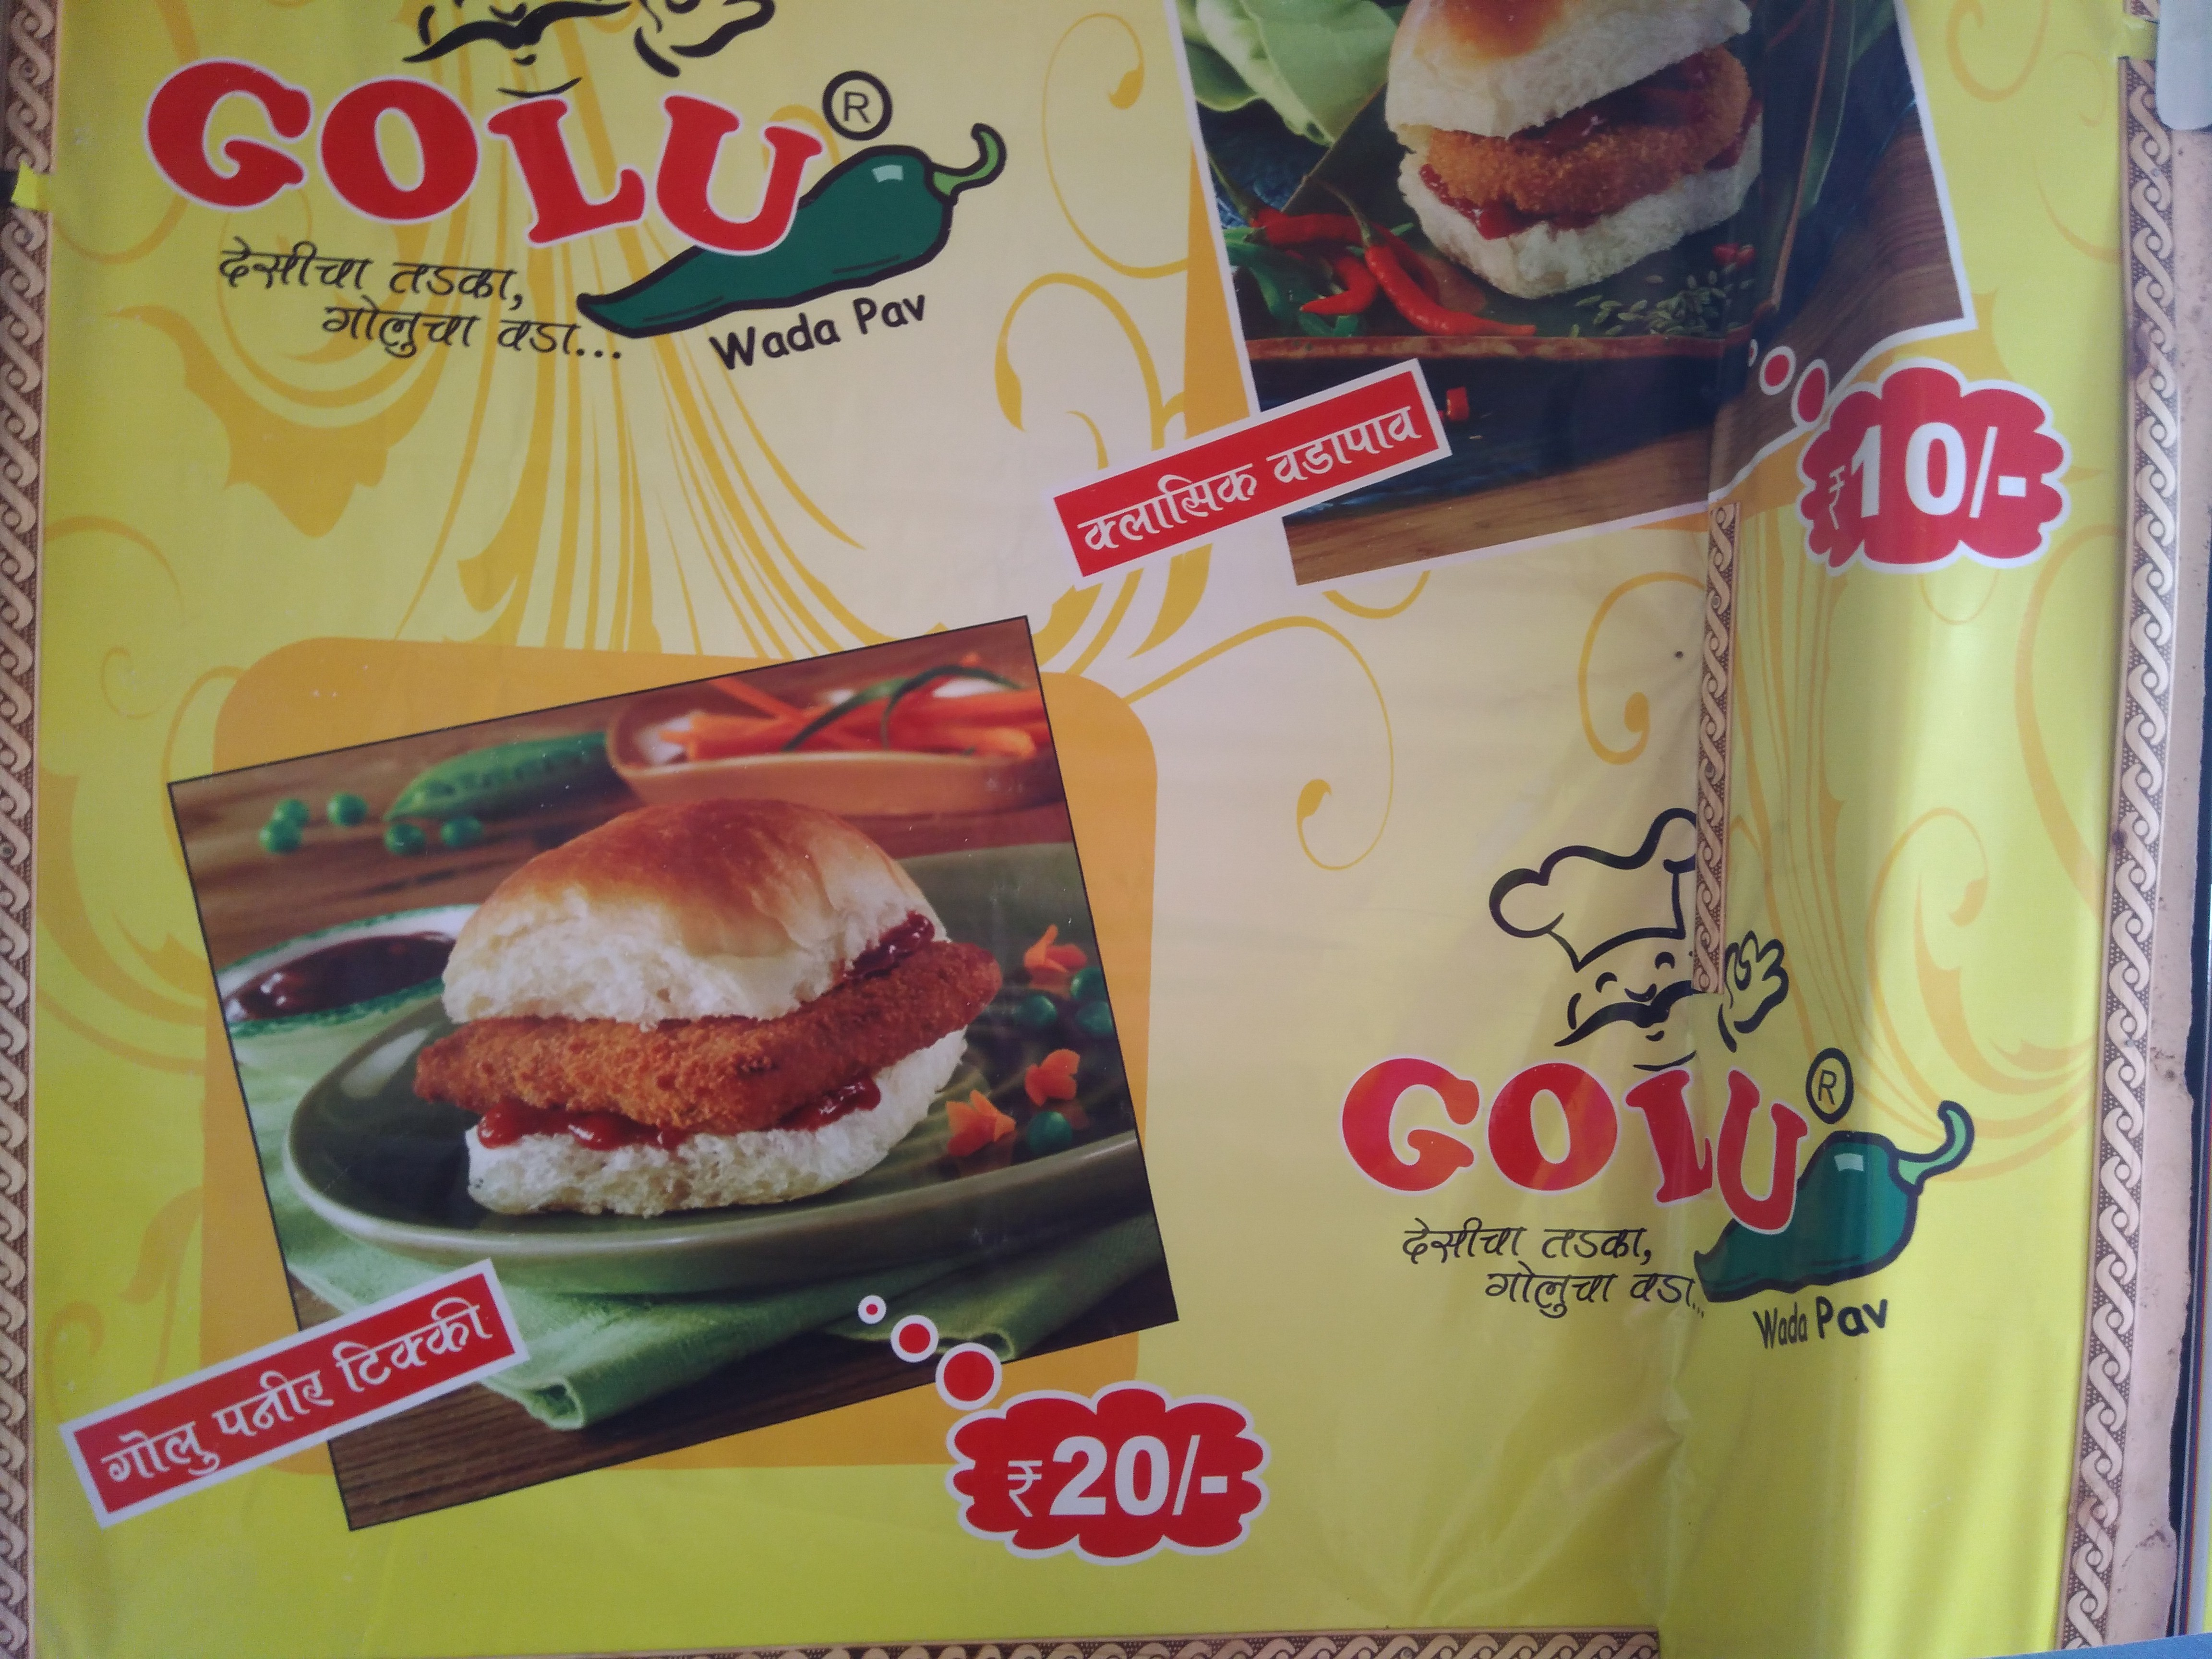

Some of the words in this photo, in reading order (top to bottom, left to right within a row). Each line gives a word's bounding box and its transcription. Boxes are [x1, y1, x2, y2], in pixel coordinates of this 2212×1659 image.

[832, 84, 883, 132] R
[122, 44, 830, 263] GOLU
[200, 227, 380, 301] देसीचा
[379, 238, 532, 315] तडका,
[310, 289, 486, 365] गोलुचा
[488, 311, 631, 373] वडा...
[699, 306, 854, 381] Wada
[843, 282, 935, 350] Pav
[1070, 450, 1270, 566] क्लासिक
[1817, 411, 2040, 551] ₹10/-
[1812, 1062, 1845, 1112] R
[1307, 1037, 1815, 1242] 6010
[1395, 1209, 1535, 1276] देसीचा
[1531, 1214, 1656, 1267] तडका,
[321, 1286, 507, 1410] टिक्की
[1476, 1256, 1622, 1325] गोलुचा
[1622, 1263, 1712, 1324] वडा...
[1742, 1298, 1816, 1358] Wada
[1810, 1290, 1900, 1351] Pav
[200, 1357, 346, 1452] पनीर
[93, 1407, 223, 1499] गॊल
[993, 1421, 1237, 1532] ₹20/-